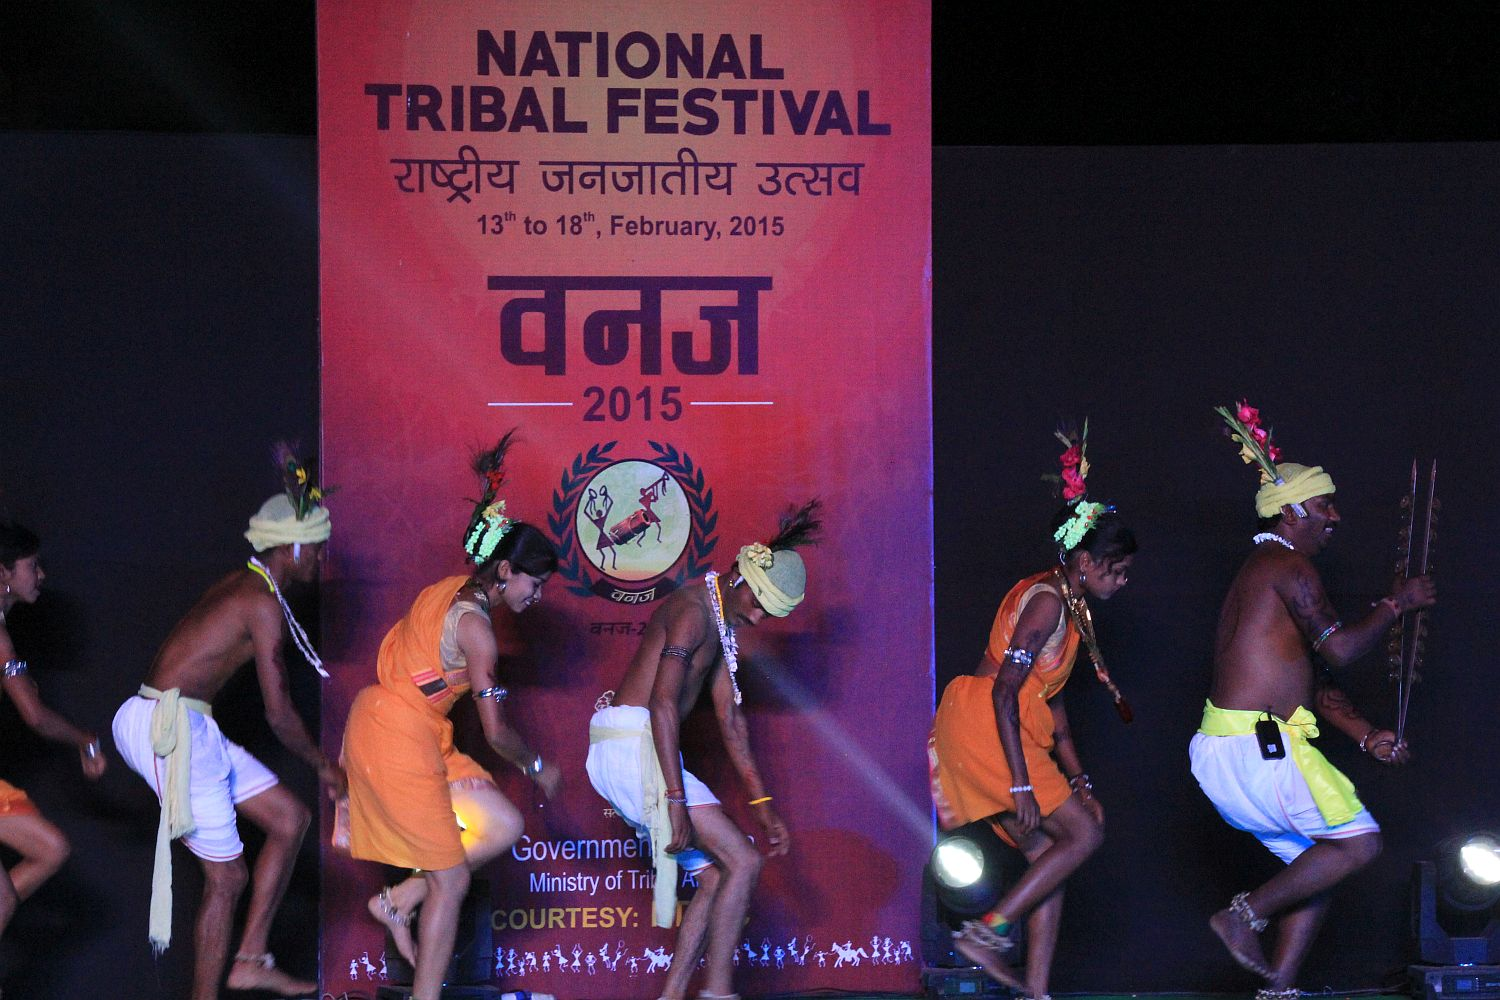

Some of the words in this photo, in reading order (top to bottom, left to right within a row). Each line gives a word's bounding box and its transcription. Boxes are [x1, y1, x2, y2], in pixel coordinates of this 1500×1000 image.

[473, 23, 789, 84] NATIONAL
[367, 80, 591, 140] TRIBAL
[602, 83, 896, 142] FESTIVAL
[383, 145, 520, 202] राष्ट्रीय
[533, 141, 740, 203] जनजातीय
[751, 158, 866, 201] उत्सव
[472, 203, 519, 235] 13th
[520, 209, 549, 237] to
[554, 205, 599, 237] 18th
[607, 209, 719, 245] February
[724, 209, 788, 242] 2015
[483, 268, 779, 379] वनज
[572, 381, 689, 429] 2015
[609, 578, 660, 610] वनज
[508, 825, 659, 866] Government
[521, 868, 604, 898] Ministry
[599, 867, 628, 895] of
[487, 897, 637, 937] COURTESY